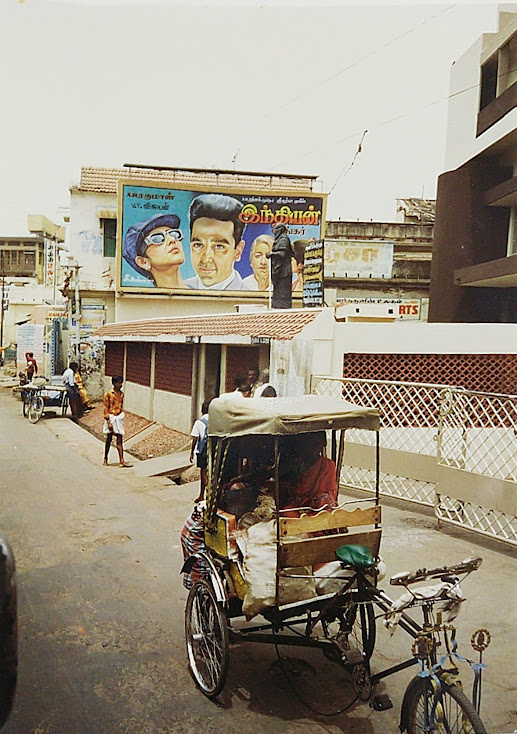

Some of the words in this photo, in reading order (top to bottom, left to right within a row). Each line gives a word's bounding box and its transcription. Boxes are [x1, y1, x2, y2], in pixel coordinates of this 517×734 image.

[232, 197, 323, 231] இந்தியன்